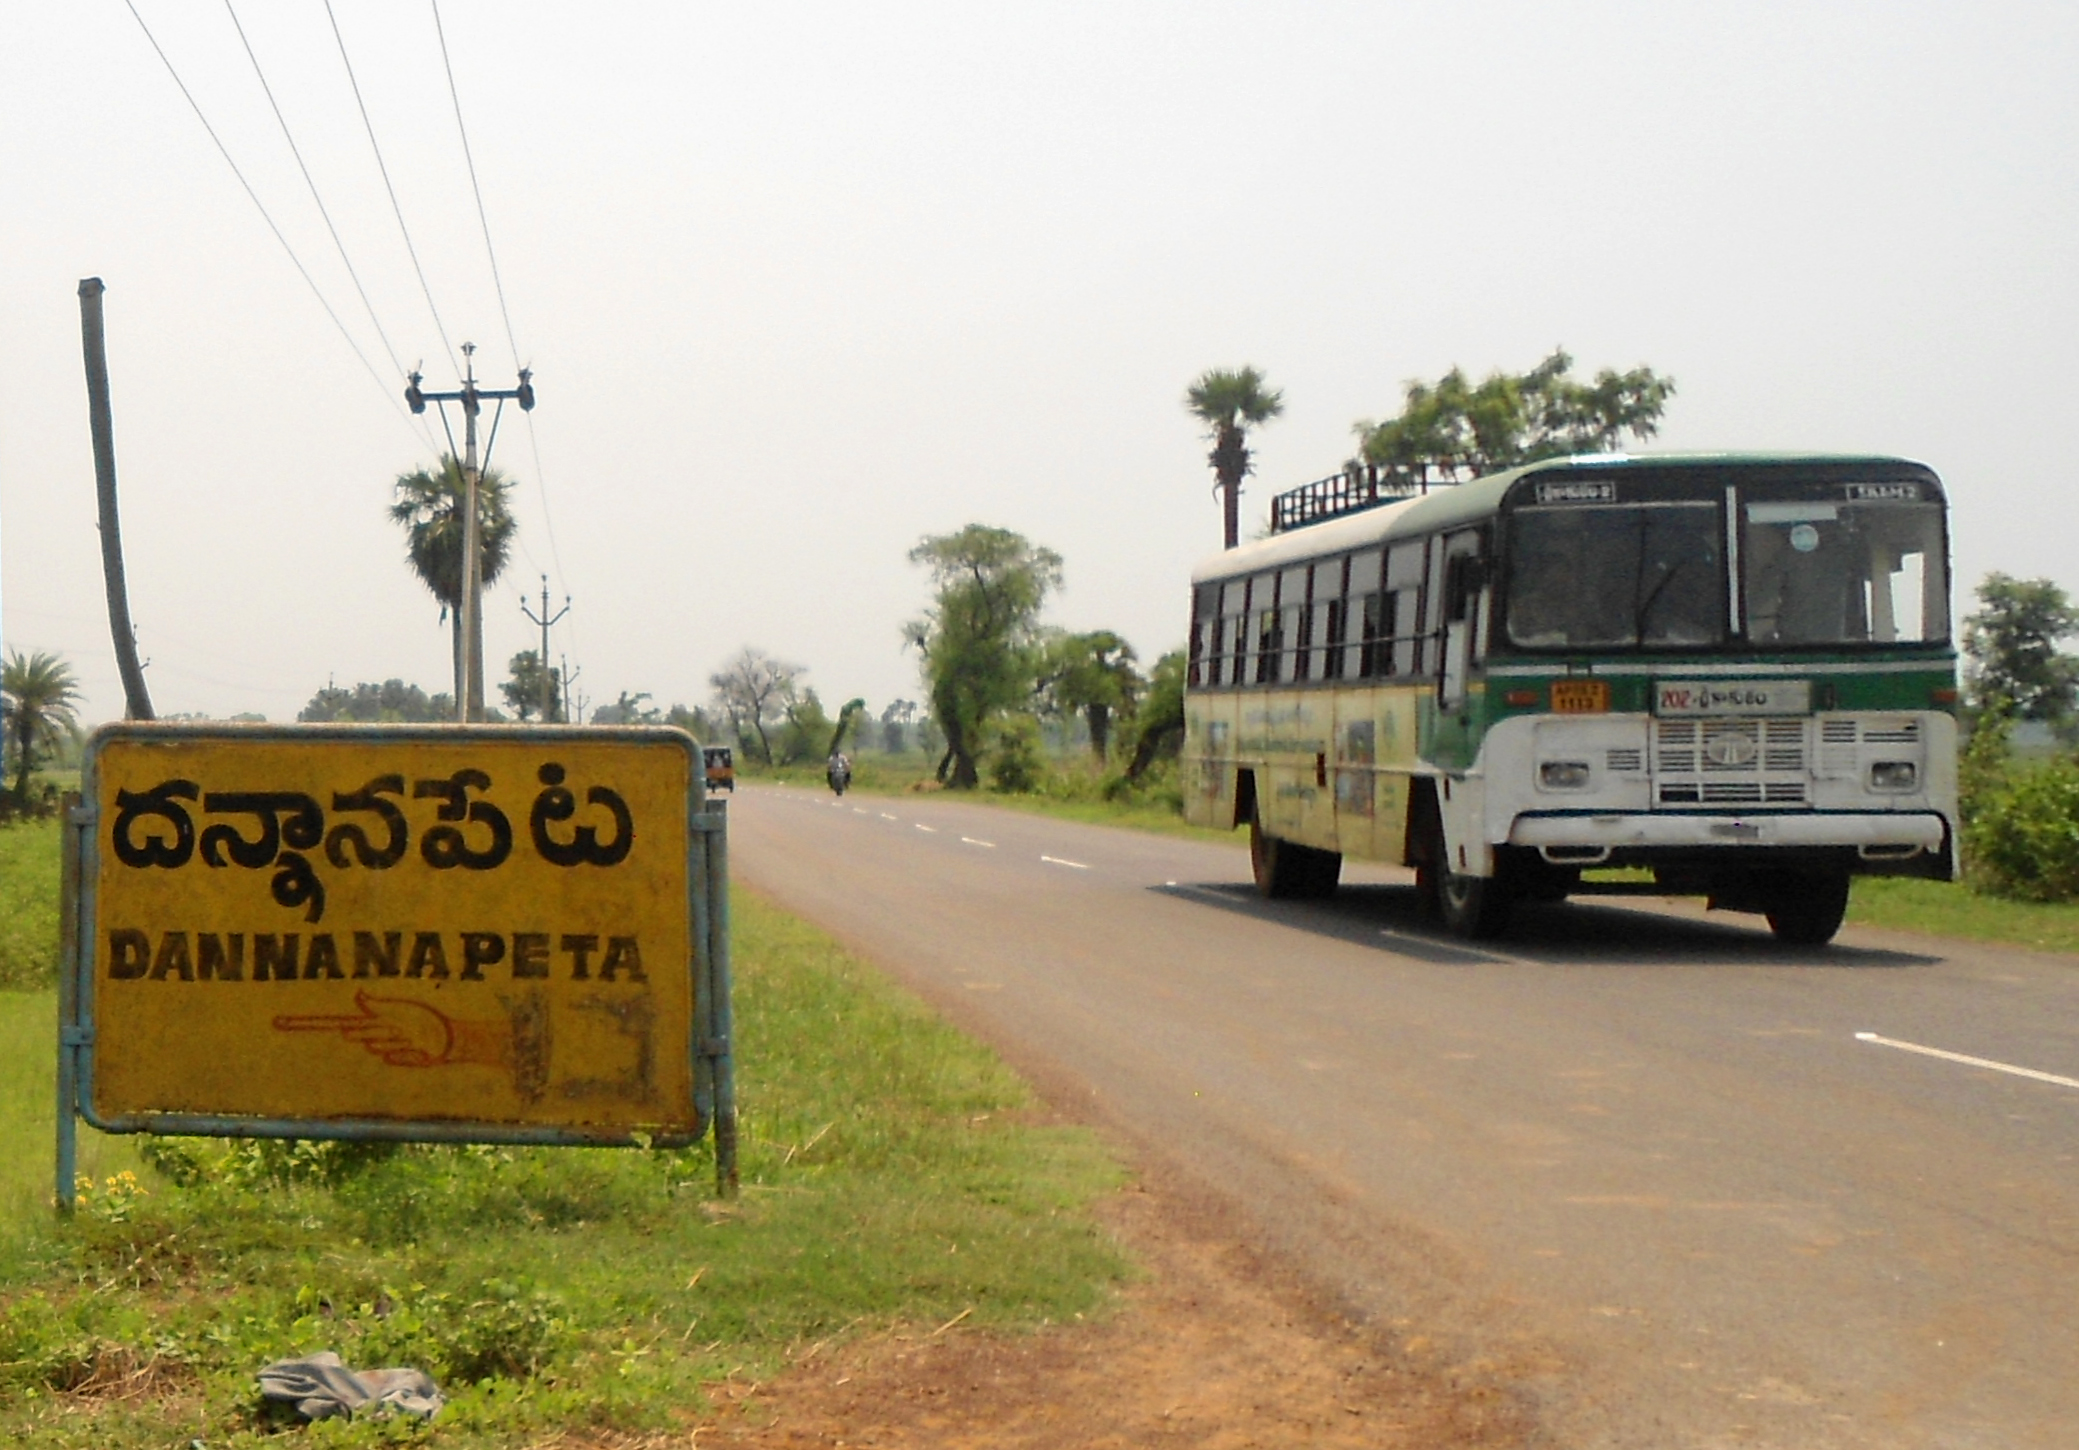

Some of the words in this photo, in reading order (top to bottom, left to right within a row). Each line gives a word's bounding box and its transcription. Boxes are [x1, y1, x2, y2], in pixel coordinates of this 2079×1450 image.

[94, 755, 643, 928] దన్మానపేట
[105, 917, 654, 986] DANNANAPETA